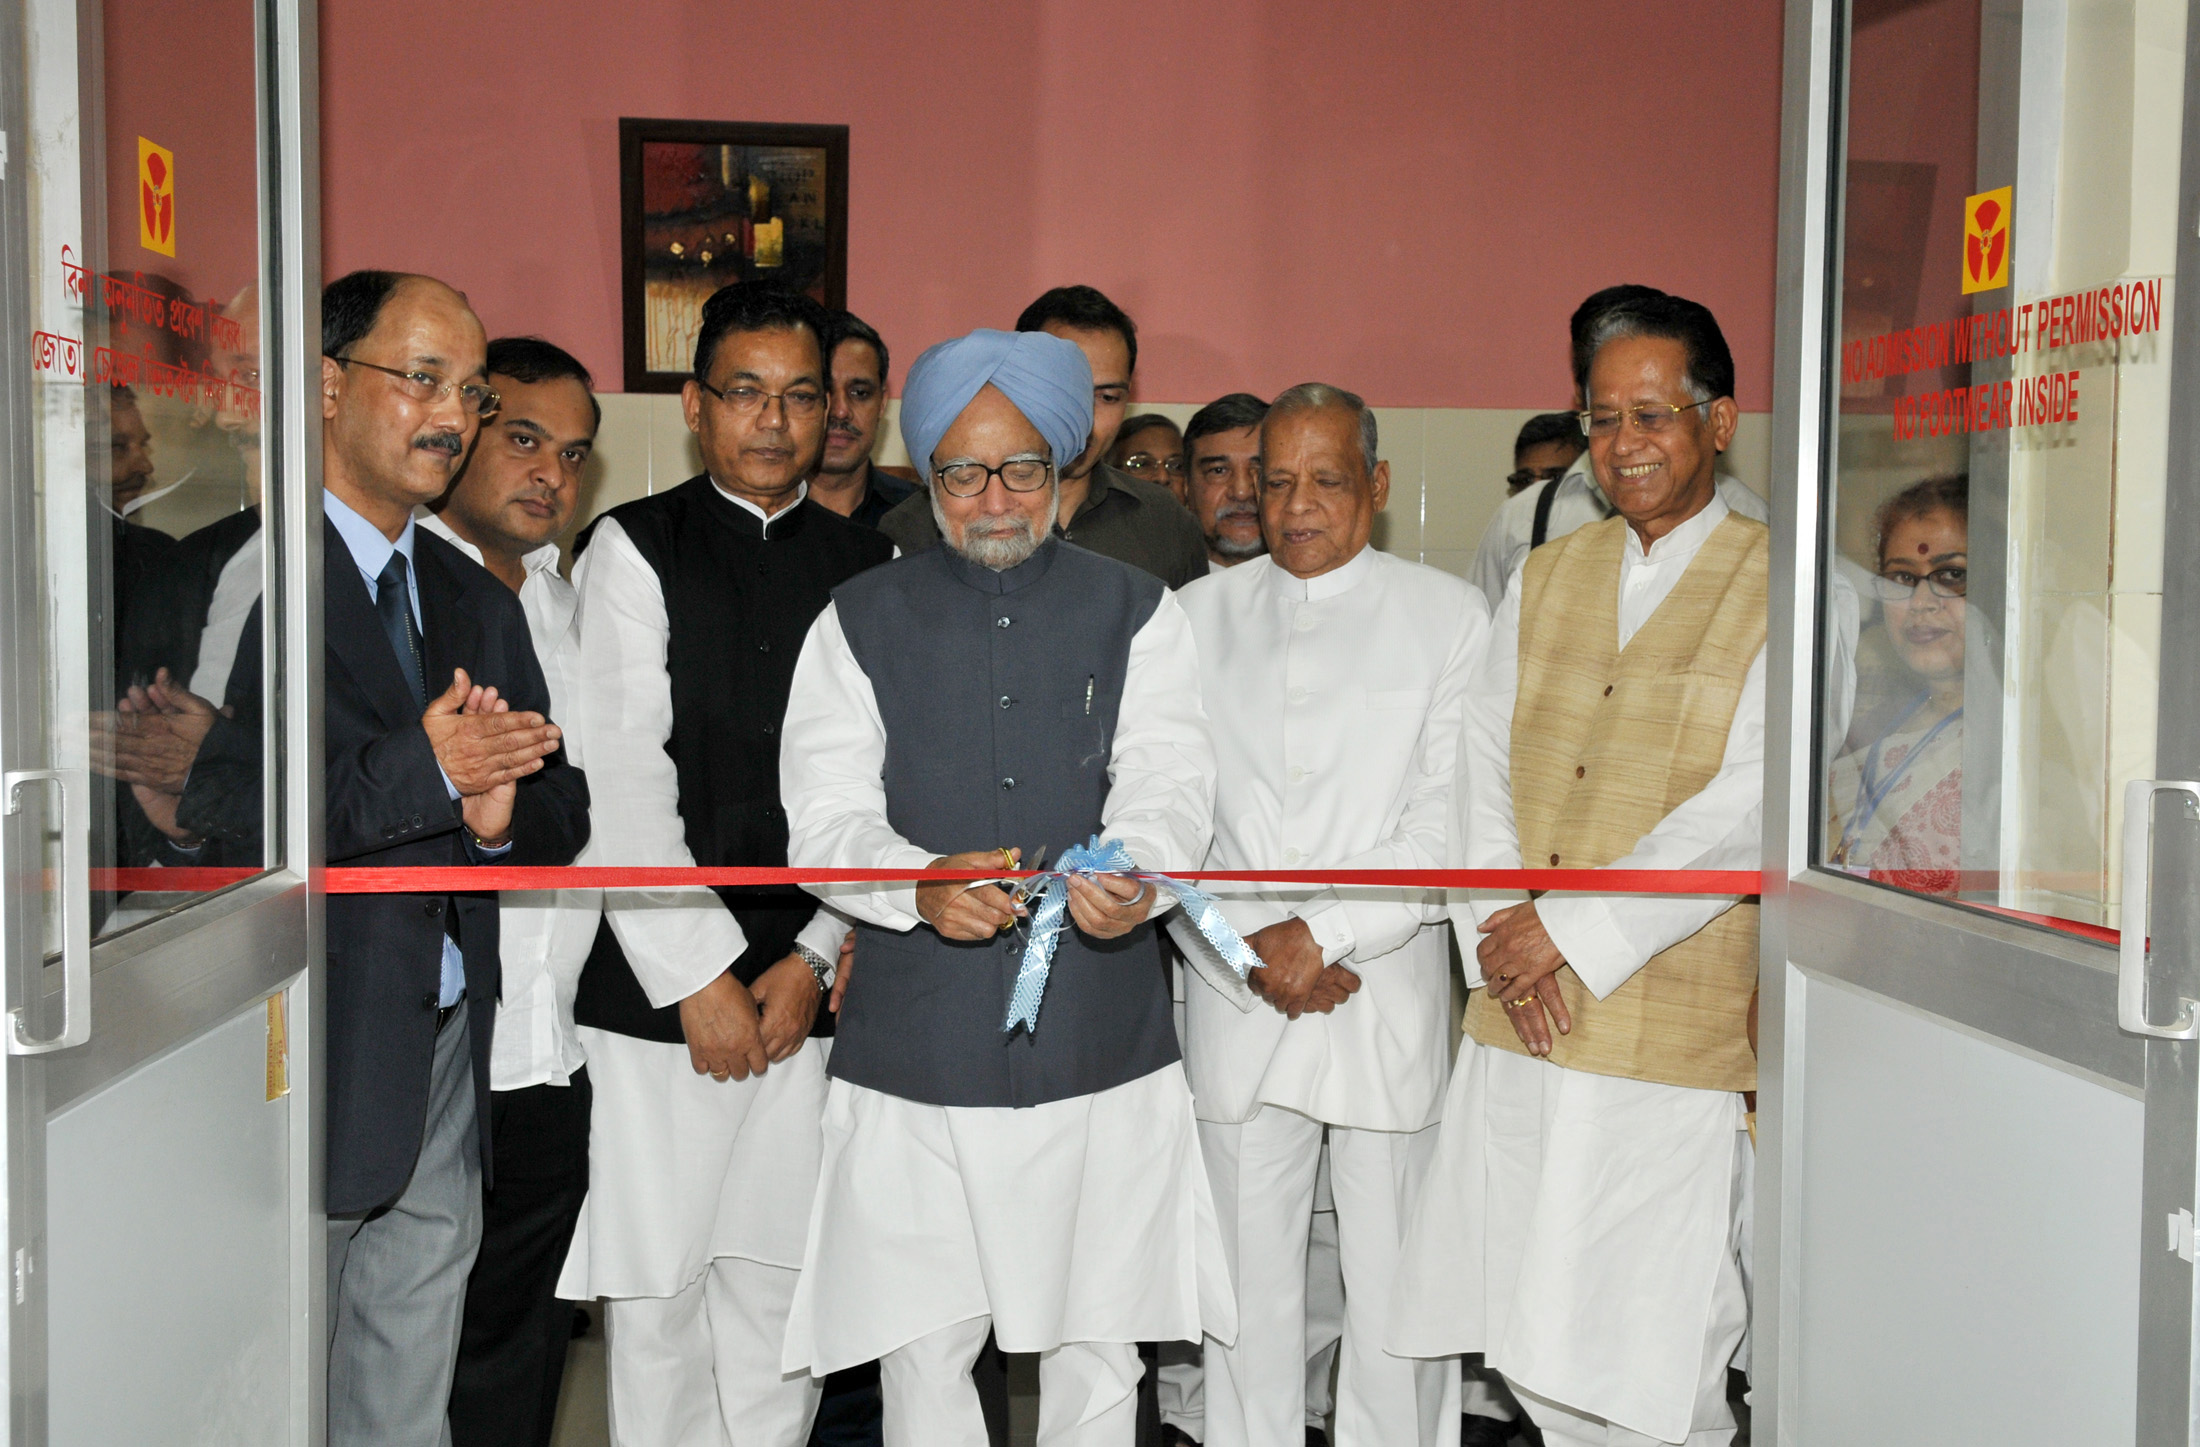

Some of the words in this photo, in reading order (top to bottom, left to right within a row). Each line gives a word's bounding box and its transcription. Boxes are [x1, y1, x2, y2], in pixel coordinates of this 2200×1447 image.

[4, 320, 96, 382] জোতা
[50, 226, 108, 308] বিনা
[84, 338, 158, 402] চেডেল
[96, 250, 182, 342] অনুমতিত
[118, 326, 224, 412] ভিতৰলৈ
[1876, 376, 1932, 450] NO P
[1850, 296, 1970, 392] 3400255017
[1908, 362, 2026, 444] FOOTWEAR
[1936, 294, 2048, 374] WITHOUTP
[2008, 354, 2096, 444] INSIDE
[2028, 270, 2178, 360] PERMISSION